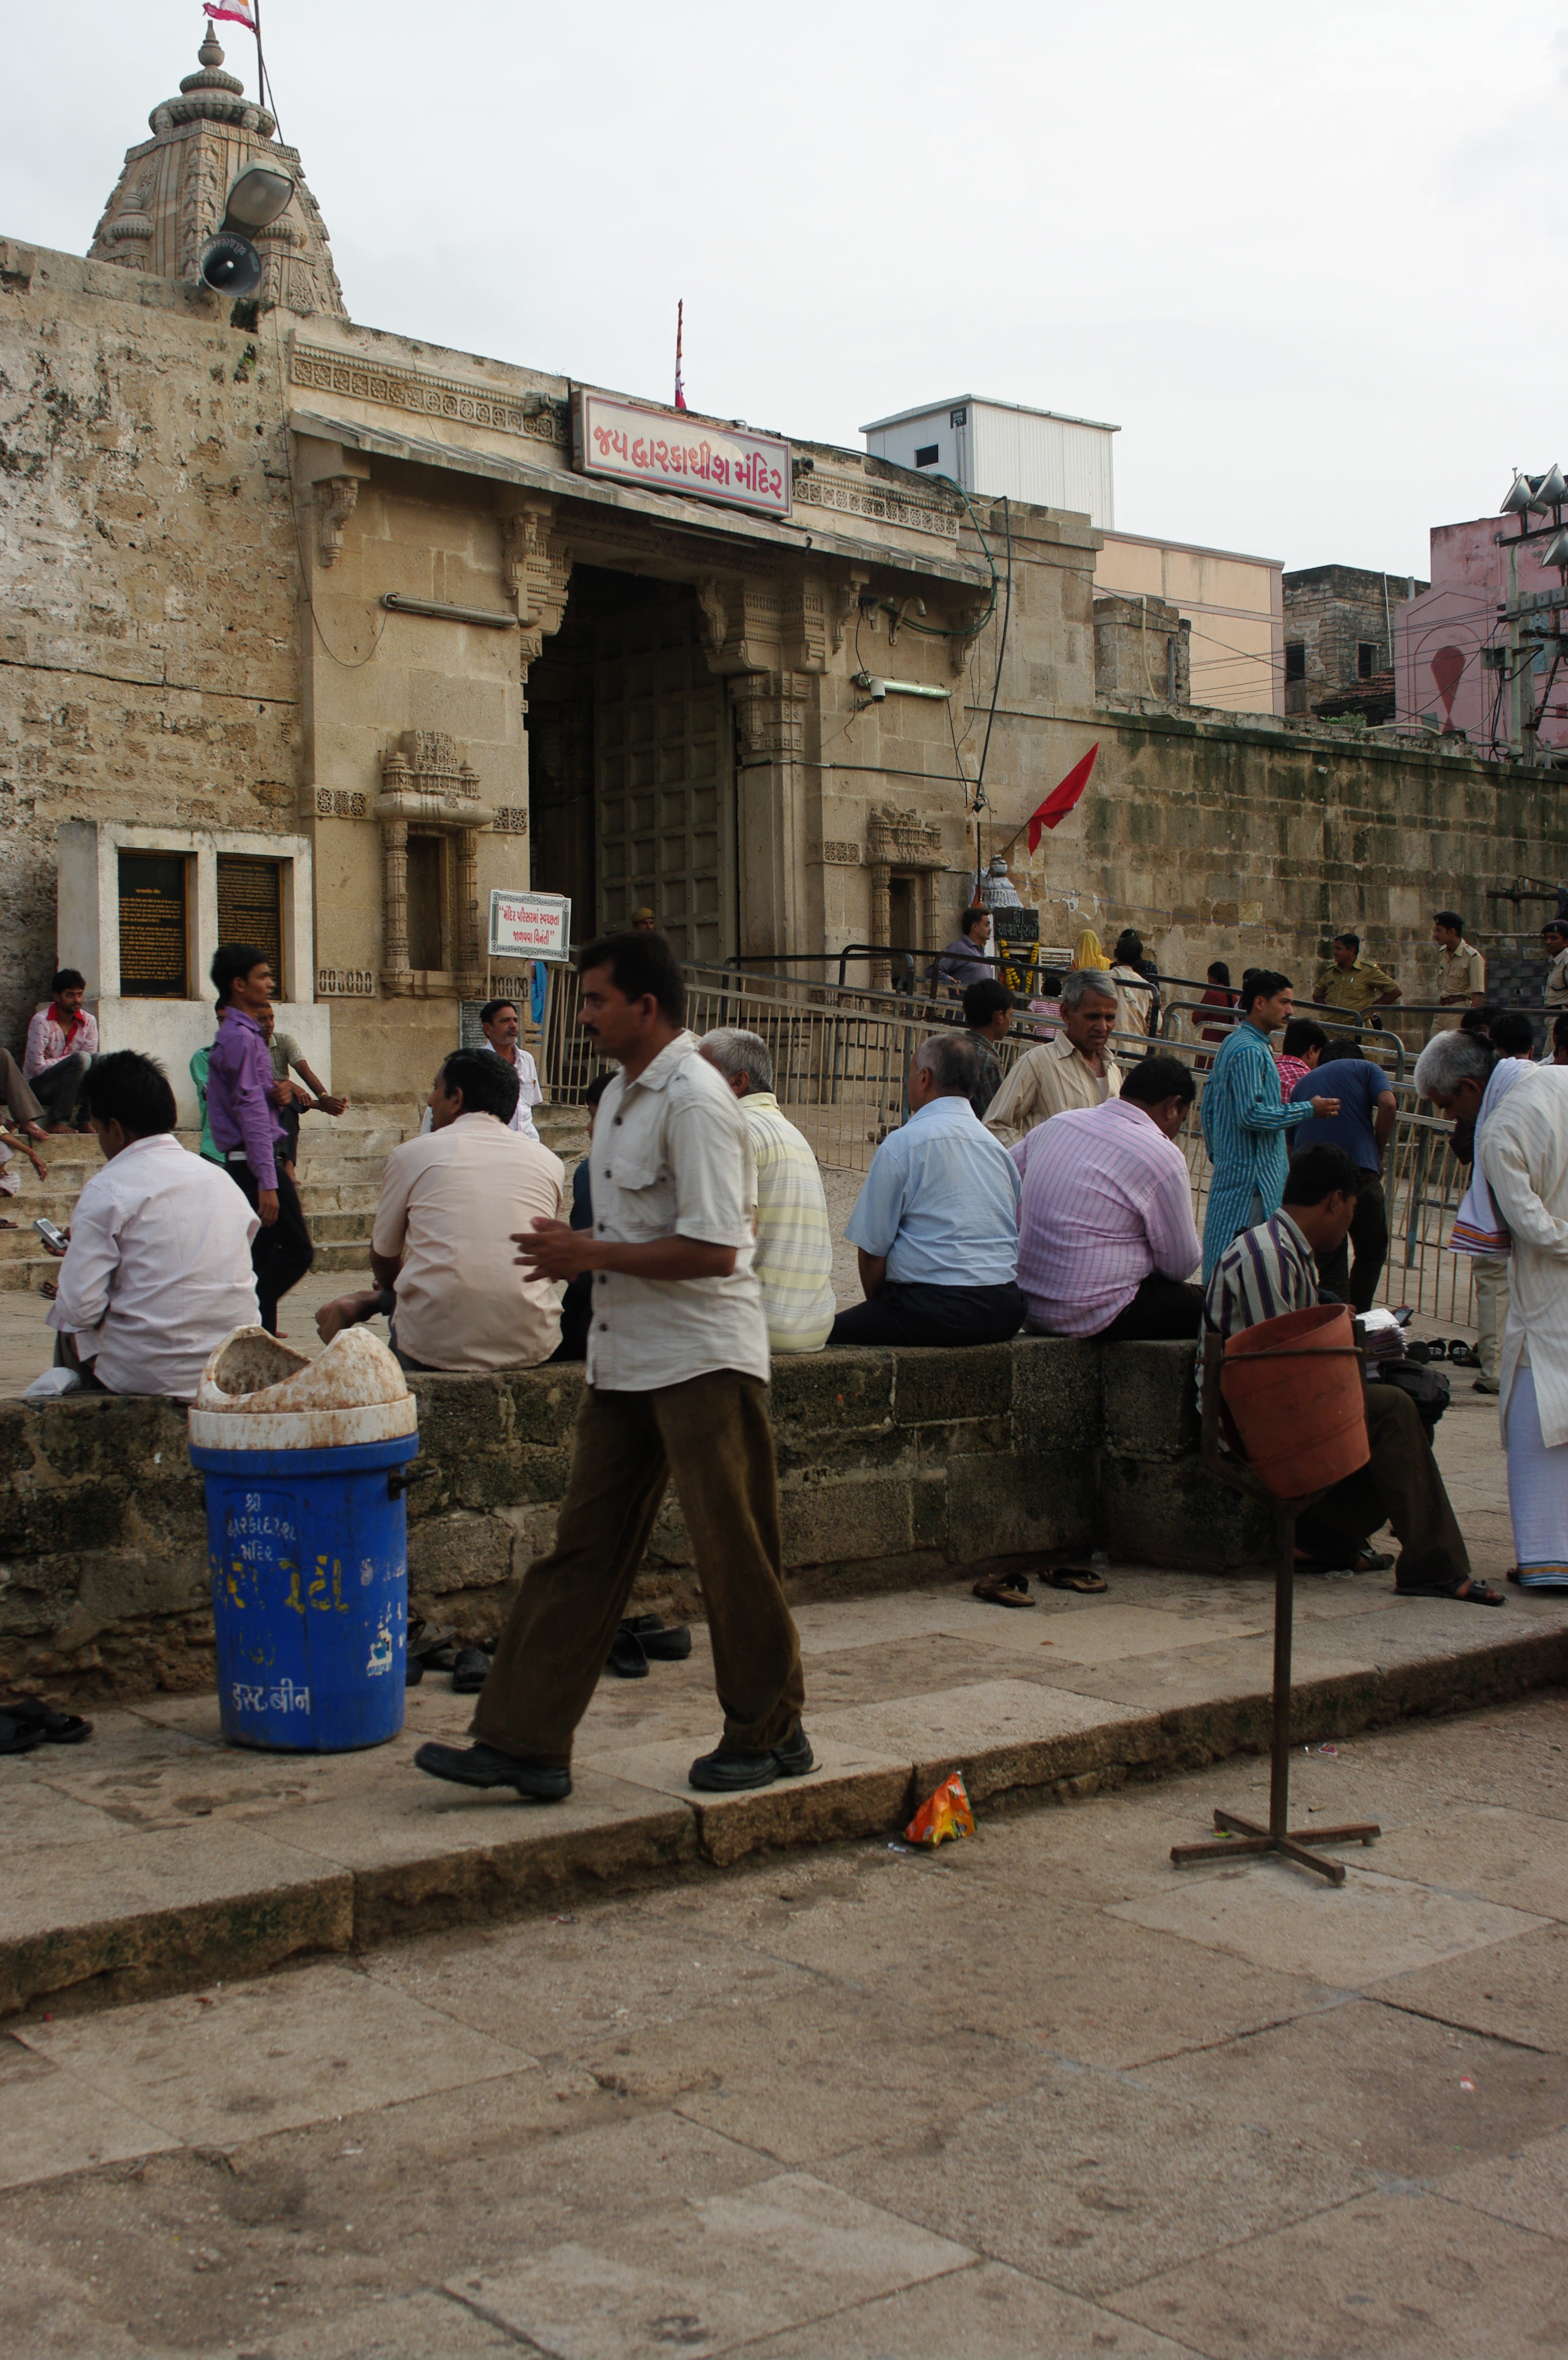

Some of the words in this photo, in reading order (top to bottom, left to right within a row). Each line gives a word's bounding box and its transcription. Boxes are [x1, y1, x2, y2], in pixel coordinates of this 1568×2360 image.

[589, 423, 630, 465] જય
[628, 434, 733, 489] દ્વારકાધીશ
[733, 450, 787, 501] મંદિર
[501, 904, 516, 922] મંદિર
[515, 906, 541, 925] પરિસરમાં
[539, 912, 560, 927] સ્વચ્છતા
[510, 929, 533, 944] જાળવવા
[531, 927, 551, 945] વિનંતી
[224, 1673, 318, 1718] डस्टबीन